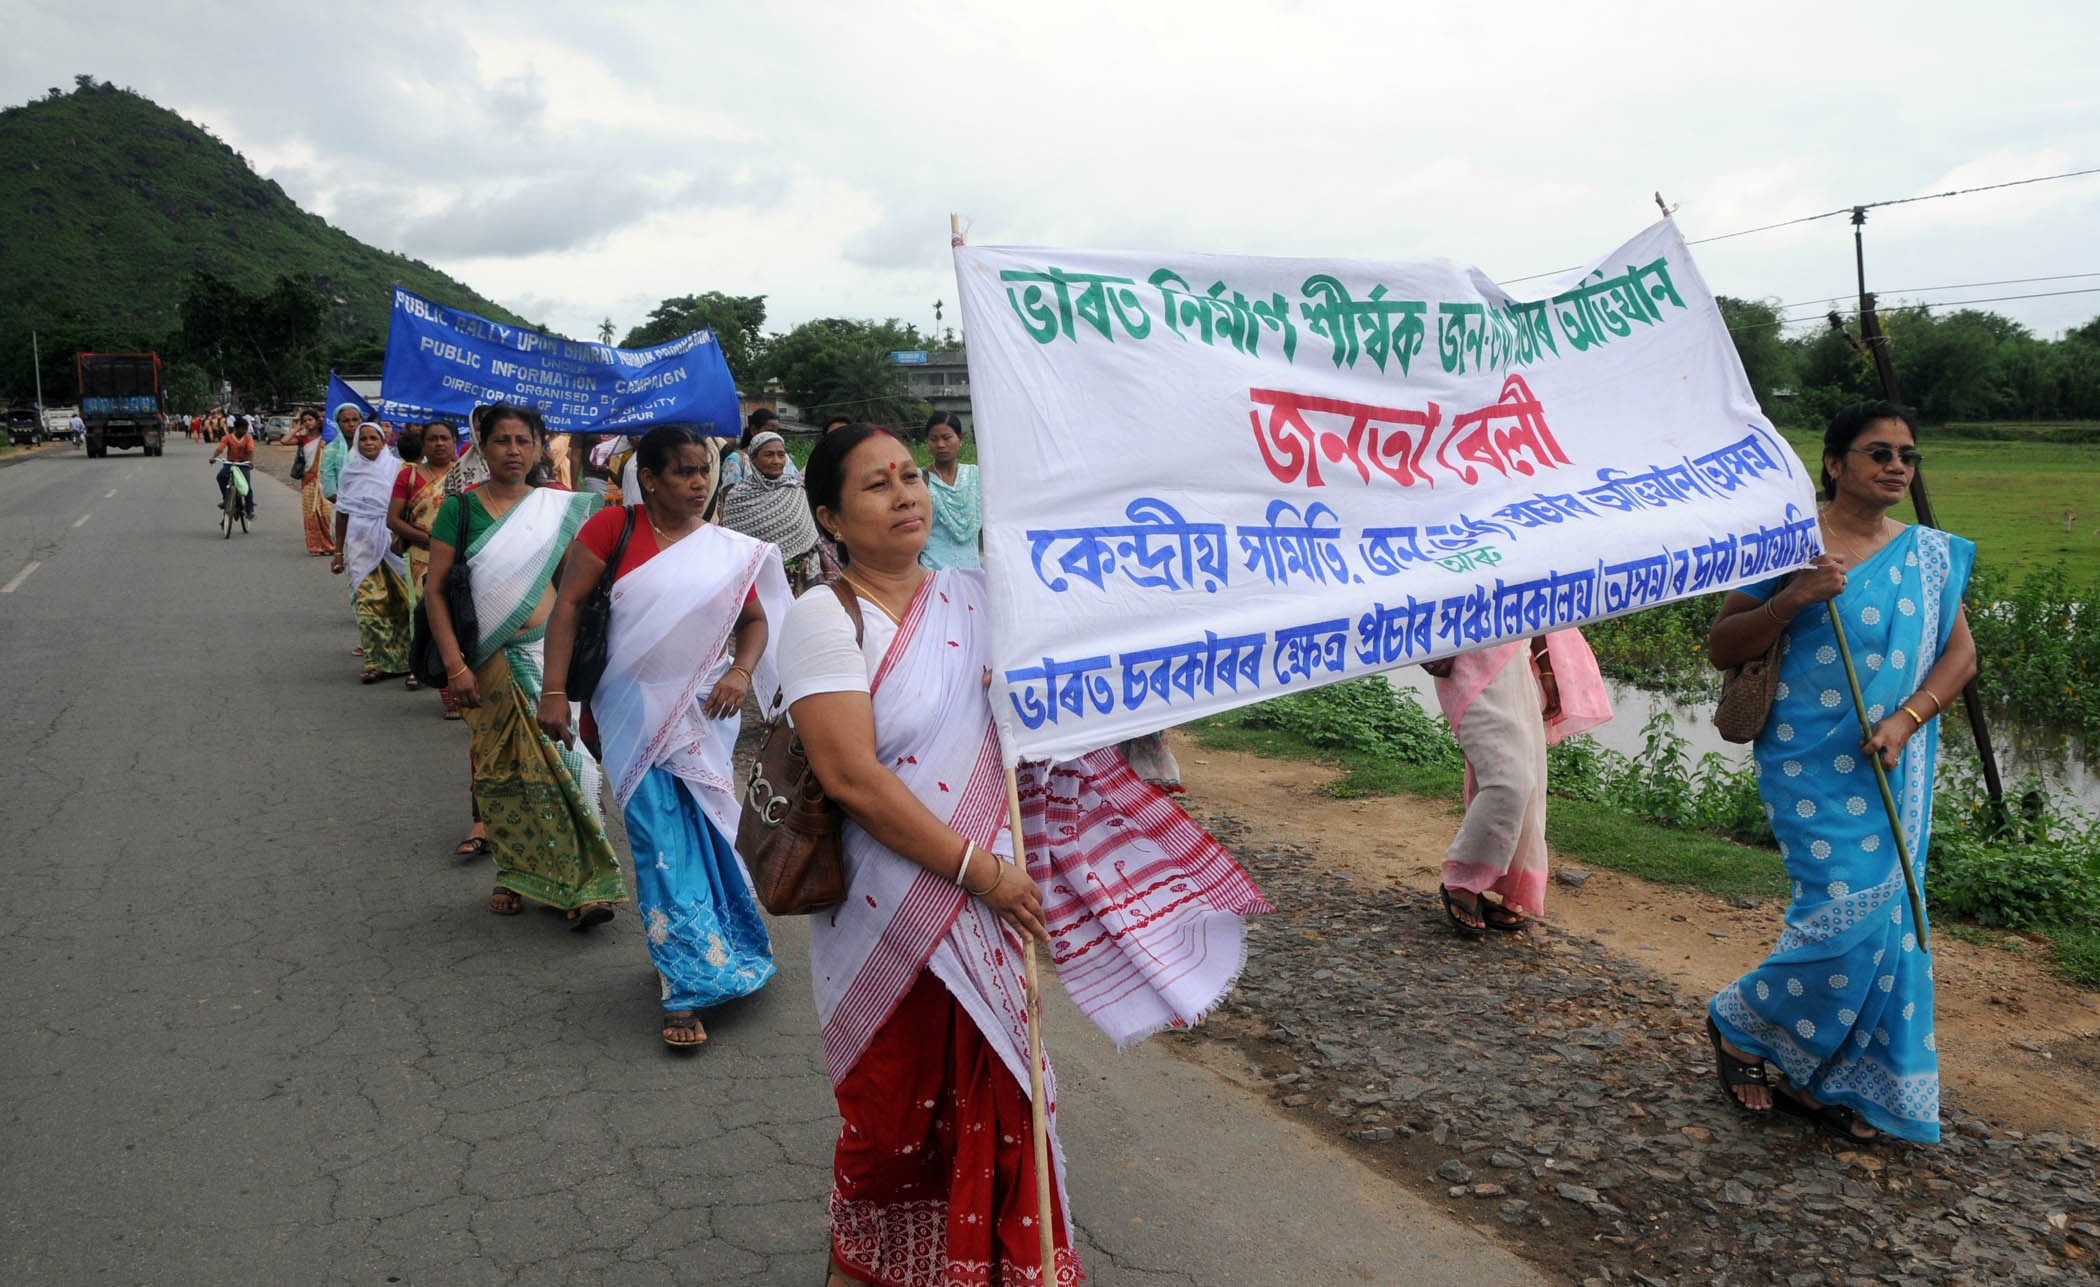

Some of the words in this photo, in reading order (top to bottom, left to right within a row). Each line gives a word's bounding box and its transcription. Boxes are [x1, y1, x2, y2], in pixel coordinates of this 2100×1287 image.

[387, 284, 454, 331] PUBLIC
[414, 331, 487, 375] PUBLIC
[451, 310, 514, 350] RALLY
[437, 369, 531, 410] DIRECTORATE
[510, 327, 564, 360] UPON
[486, 354, 601, 393] INFORMATION
[532, 396, 556, 419] OF
[509, 379, 592, 407] ORGANISED
[555, 398, 602, 418] FIELD
[556, 336, 620, 371] BHARAT
[594, 391, 622, 408] BY
[608, 361, 692, 398] CAMPAIGN
[991, 644, 1123, 740] ভাৰত
[991, 262, 1160, 350] ভাবত
[1025, 488, 1237, 604] কেন্দ্রীয়
[1116, 618, 1272, 718] চৰকাৰৰ
[1134, 247, 1303, 370] নির্মাণ
[1236, 490, 1372, 591] সমিতি.
[1267, 610, 1360, 696] ক্ষেত্র
[1283, 260, 1436, 383] শীর্ষক
[1349, 587, 1440, 674] প্ৰচাৰ
[1245, 368, 1582, 500] জনতা বেলী
[1437, 540, 1506, 577] আৰু
[1434, 564, 1602, 652] সঞ্চালকালয়
[1489, 484, 1609, 539] প্রচাৰ
[1547, 251, 1696, 364] অভিযান
[1596, 547, 1674, 625] (অসম)
[1573, 456, 1721, 523] অভিযান
[1663, 530, 1741, 602] ৰ দ্বাৰা
[1688, 426, 1791, 508] অসম